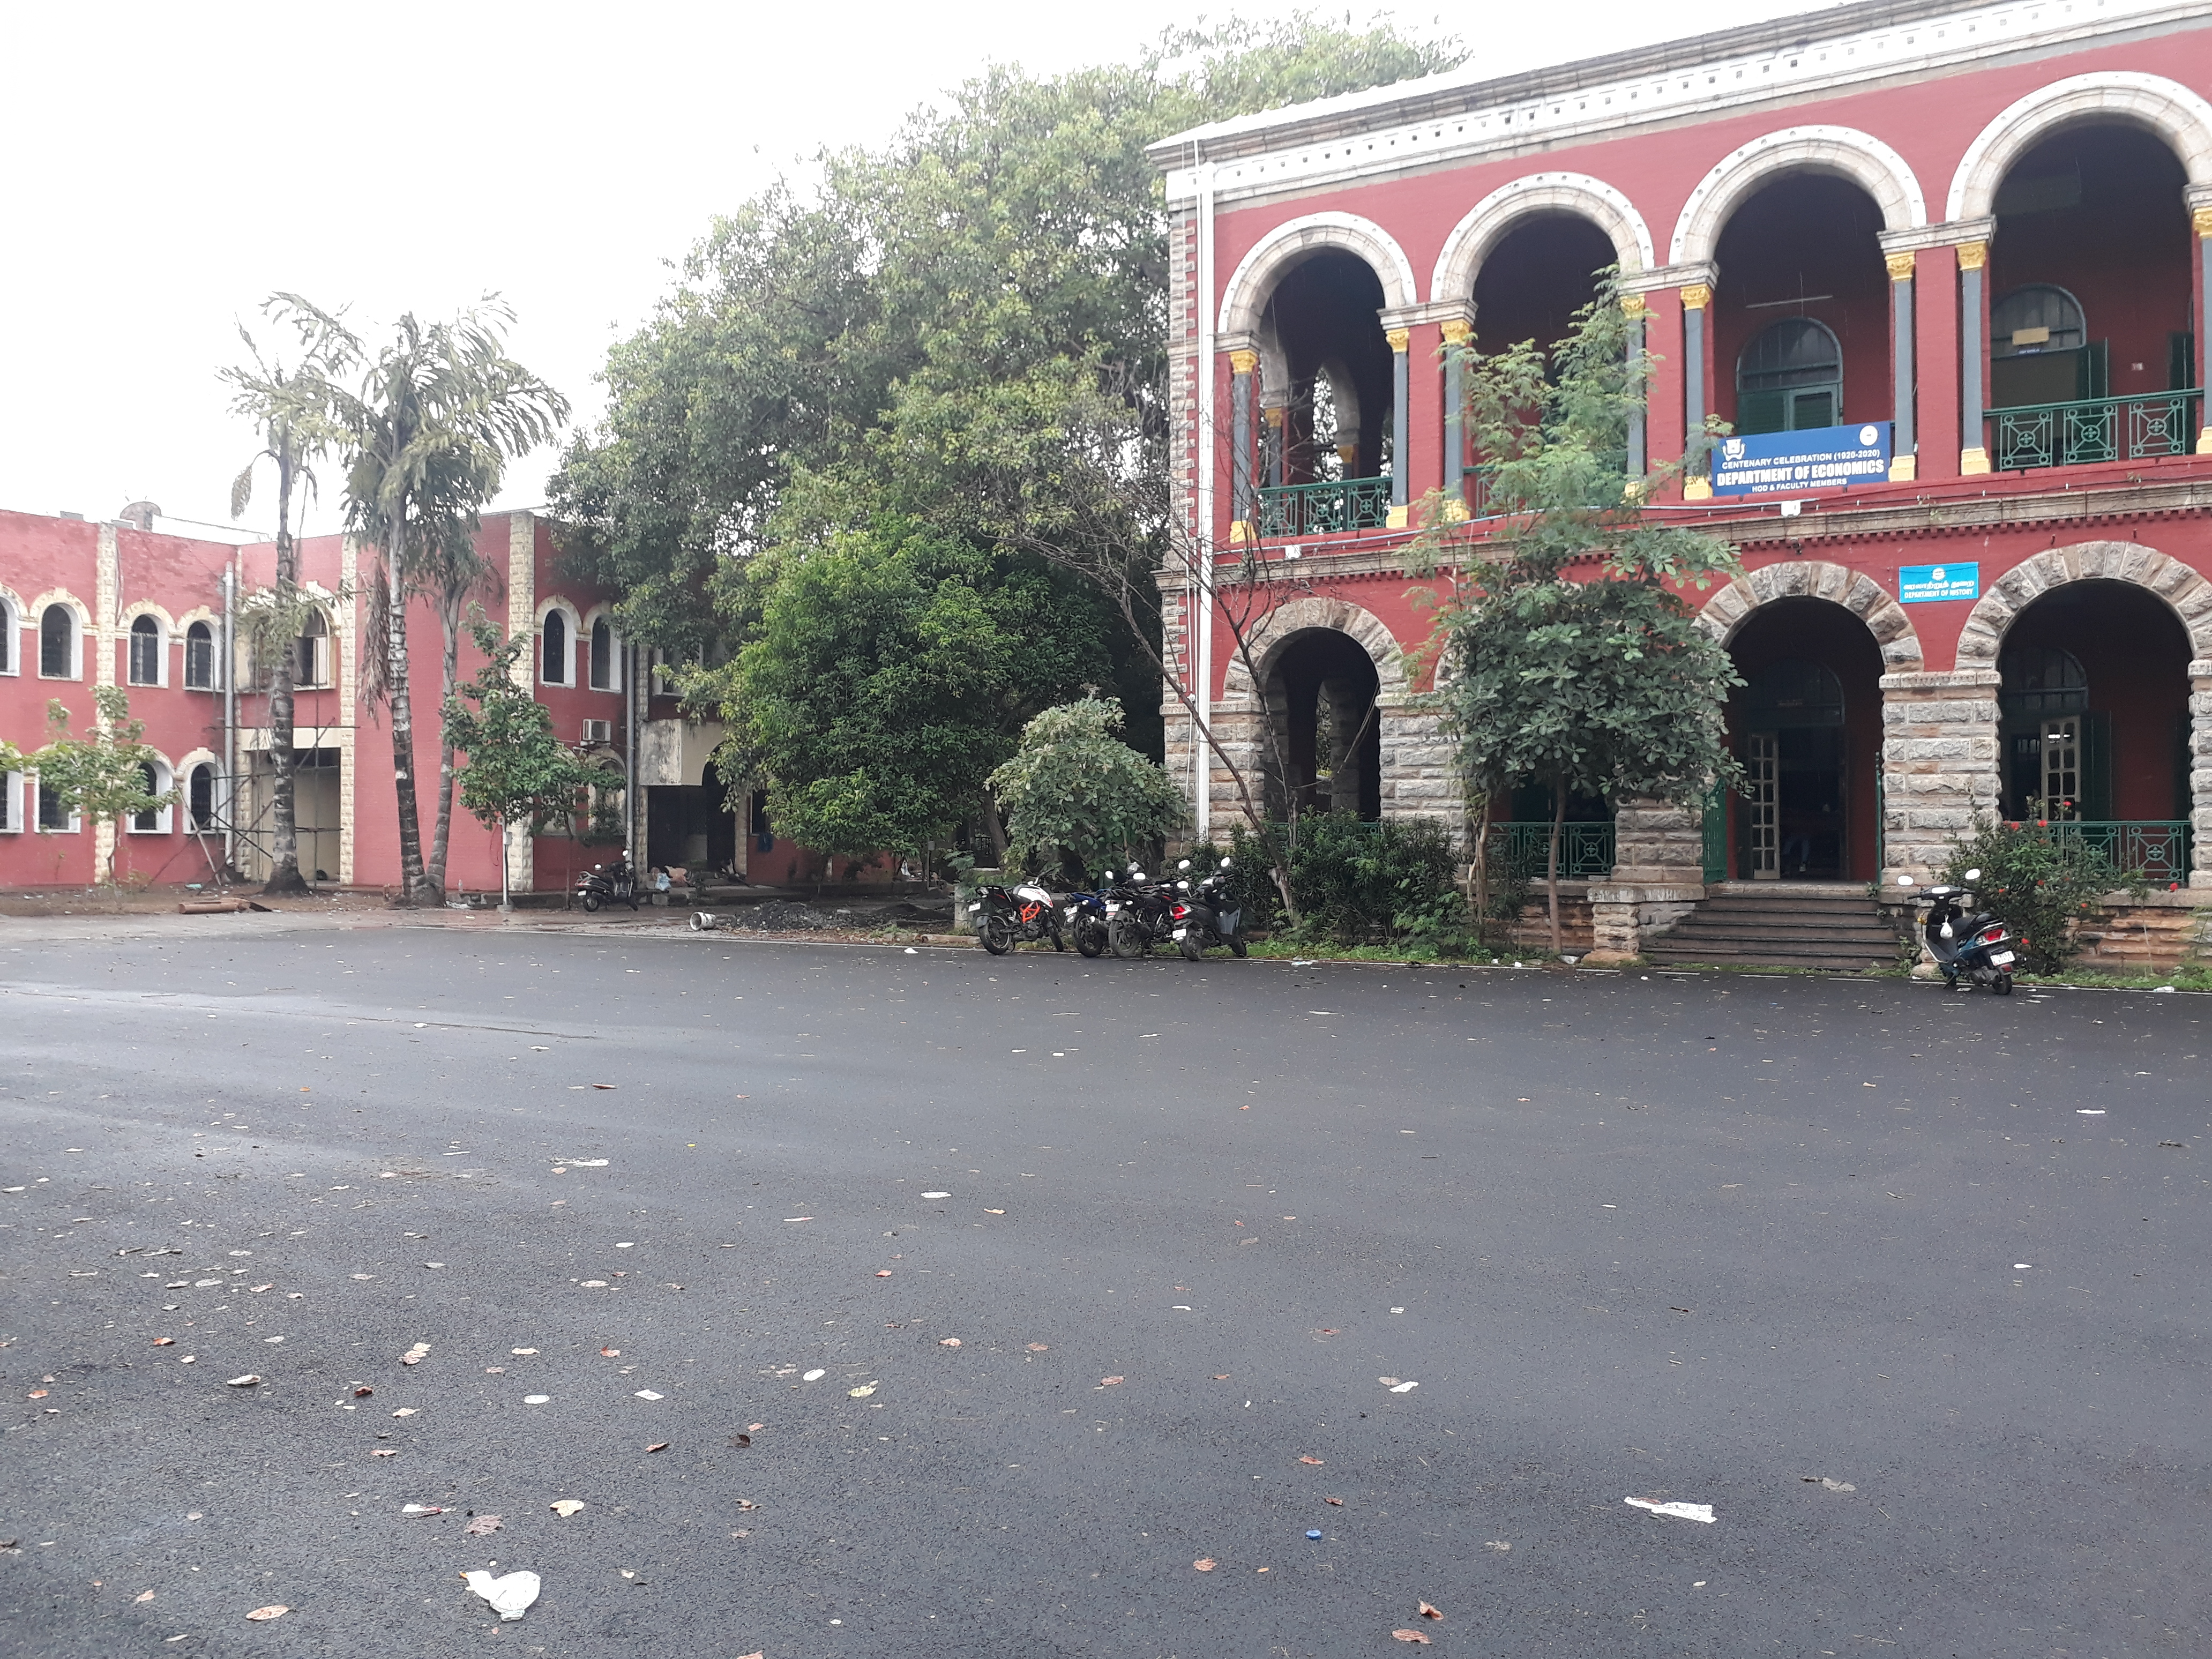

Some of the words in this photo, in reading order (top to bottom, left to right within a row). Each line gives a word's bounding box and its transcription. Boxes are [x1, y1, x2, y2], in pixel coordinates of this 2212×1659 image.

[1720, 454, 1775, 472] CENTENARY
[1716, 465, 1795, 488] DEPARTMENT
[1747, 482, 1770, 496] HOD
[1767, 481, 1777, 496] &
[1775, 479, 1810, 494] FACULTY
[1772, 451, 1833, 469] CELEBRATION
[1792, 464, 1813, 482] OF
[1807, 474, 1849, 490] MEMBERS
[1809, 458, 1887, 479] ECONOMICS
[1835, 447, 1881, 465] (1920-2020)
[1901, 588, 1944, 600] DEPARTMENT
[1902, 576, 1952, 593] வரலாற்றின்
[1937, 588, 1950, 599] OF
[1947, 586, 1976, 599] HISTORY
[1948, 576, 1977, 591] துறை